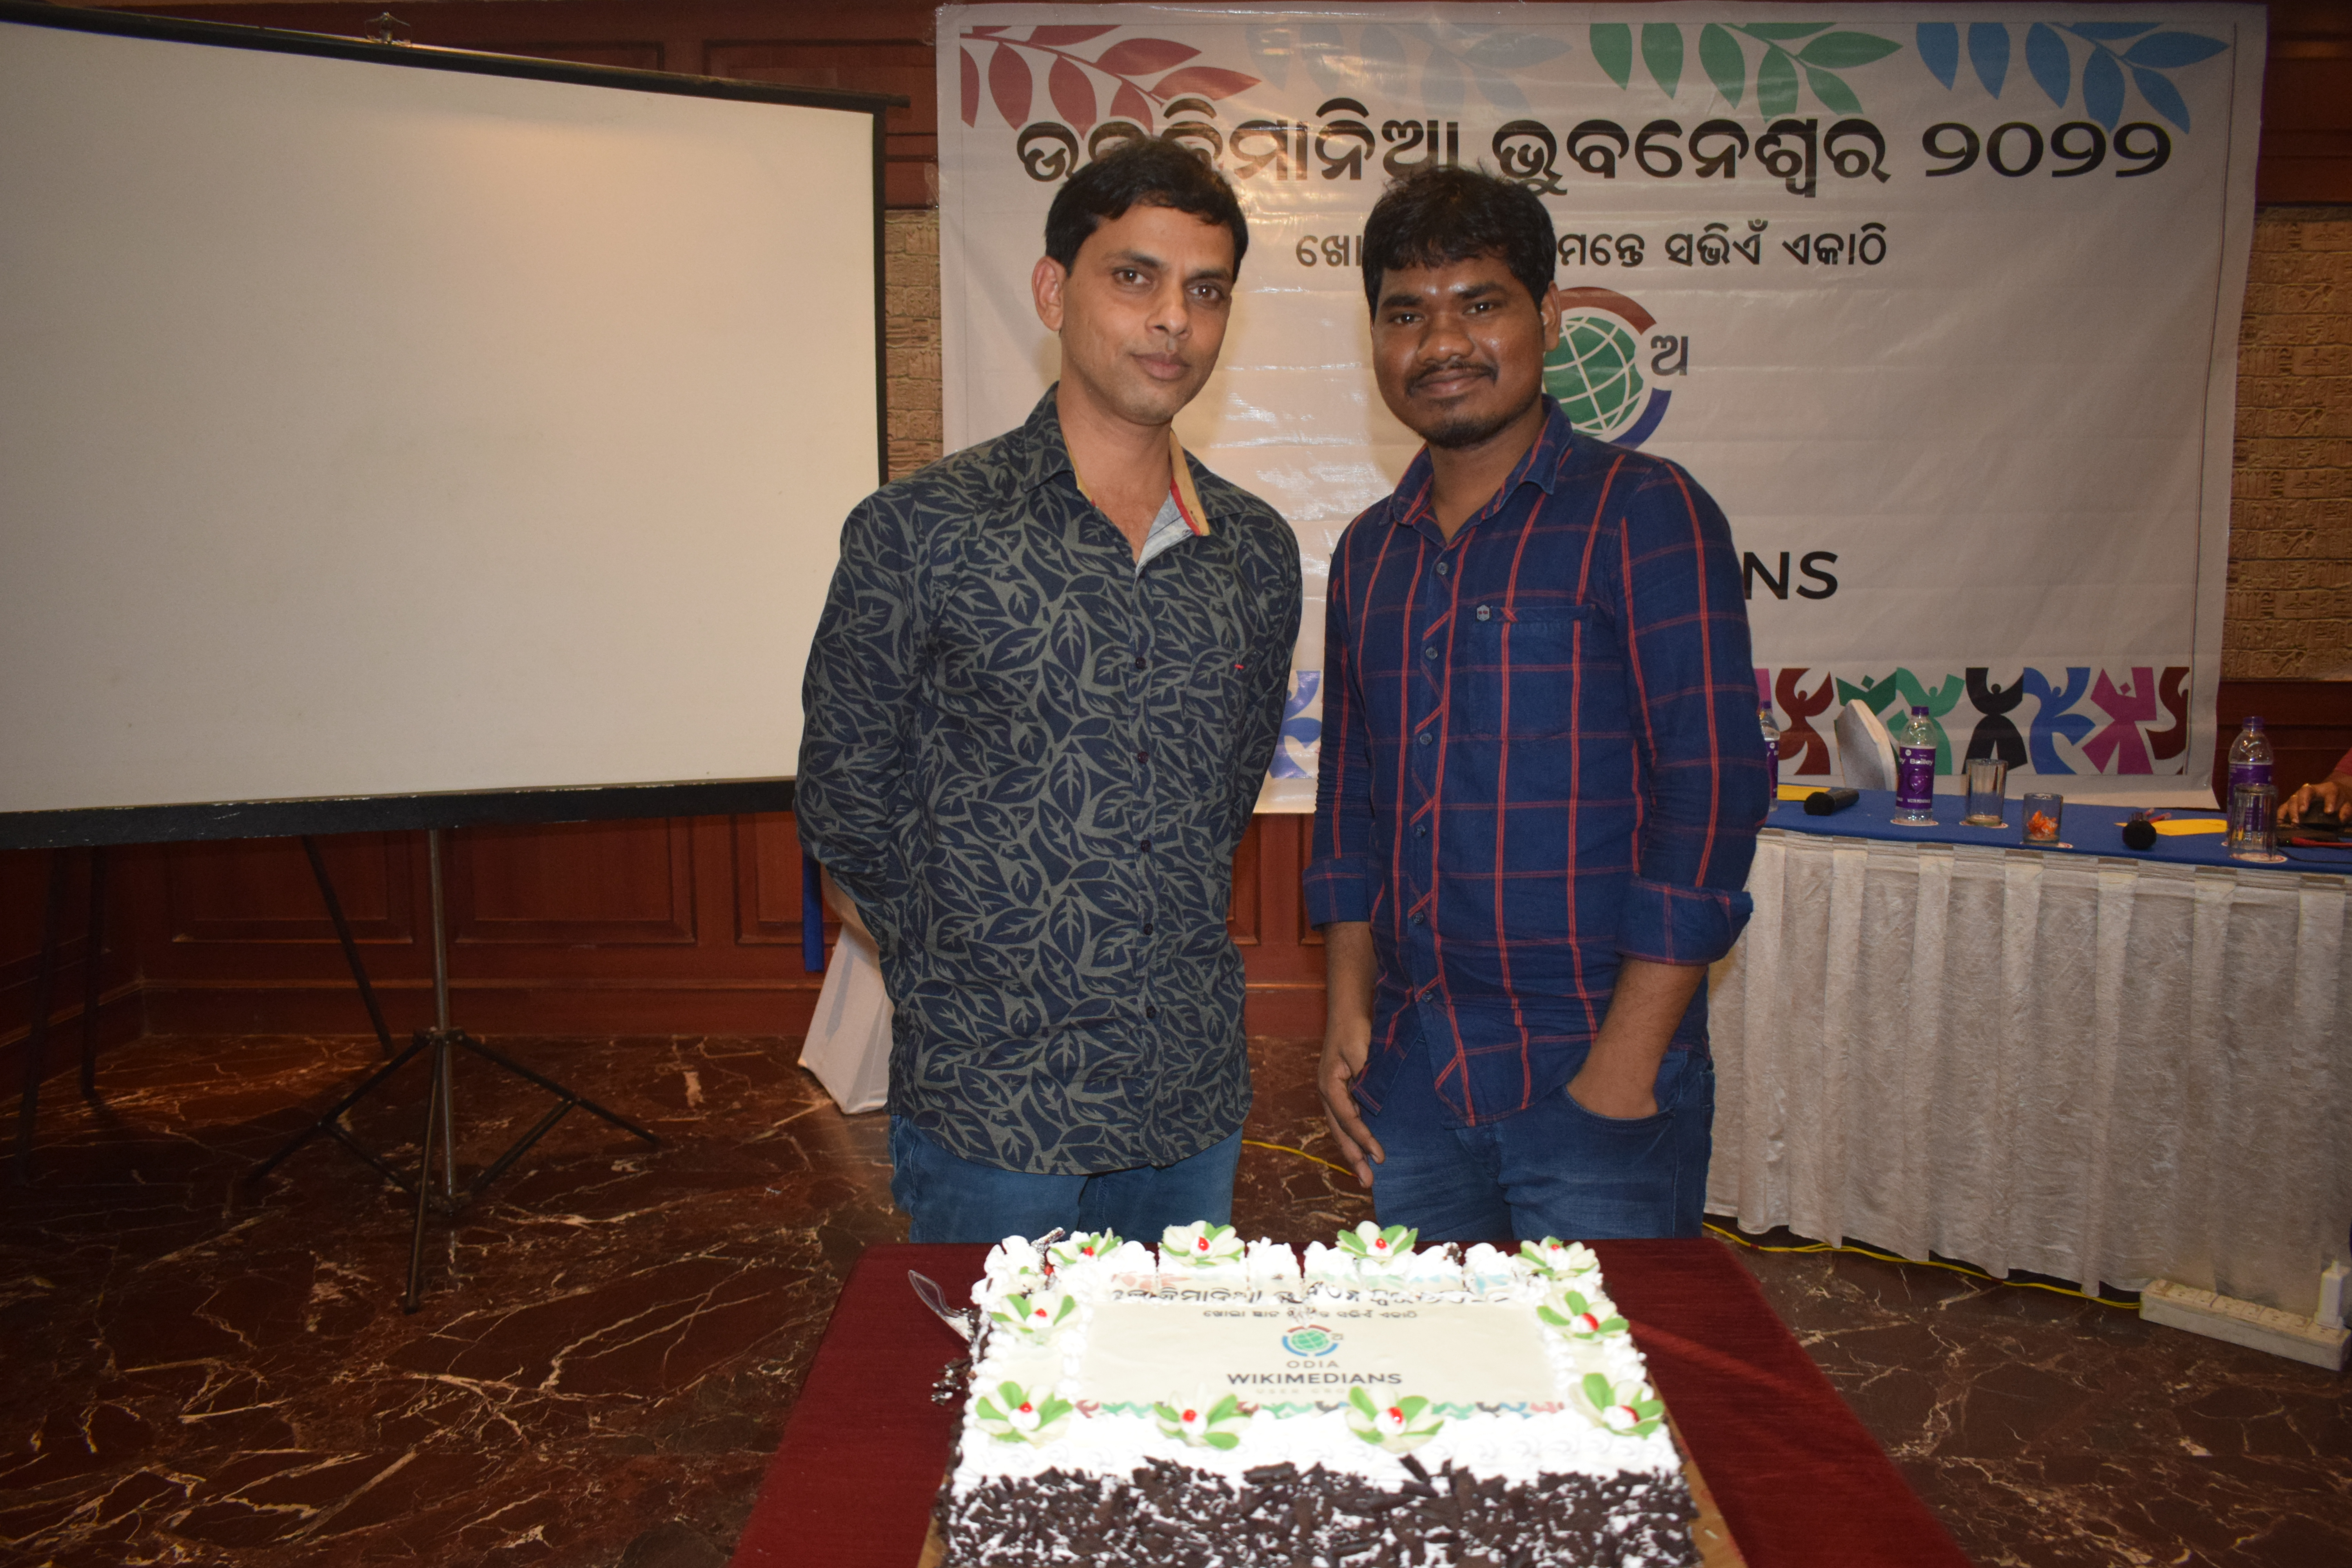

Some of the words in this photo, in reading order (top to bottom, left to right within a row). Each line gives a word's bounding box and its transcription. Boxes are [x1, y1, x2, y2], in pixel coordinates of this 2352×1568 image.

[1013, 88, 1467, 191] ଉଇକିମାନିଆ
[1486, 107, 1893, 204] ଭୁବନେଶ୍ବର
[1915, 114, 2180, 183] 9099
[1554, 224, 1646, 270] ମନ୍ତେ
[1661, 217, 1772, 272] ସଭିଏଁ
[1780, 216, 1894, 271] ଏକାଠି
[1740, 543, 1845, 605] NS
[1376, 1305, 1422, 1323] ଏକାଠି
[1282, 1357, 1341, 1372] ODIA
[1224, 1370, 1406, 1387] WIKIMEDIANS